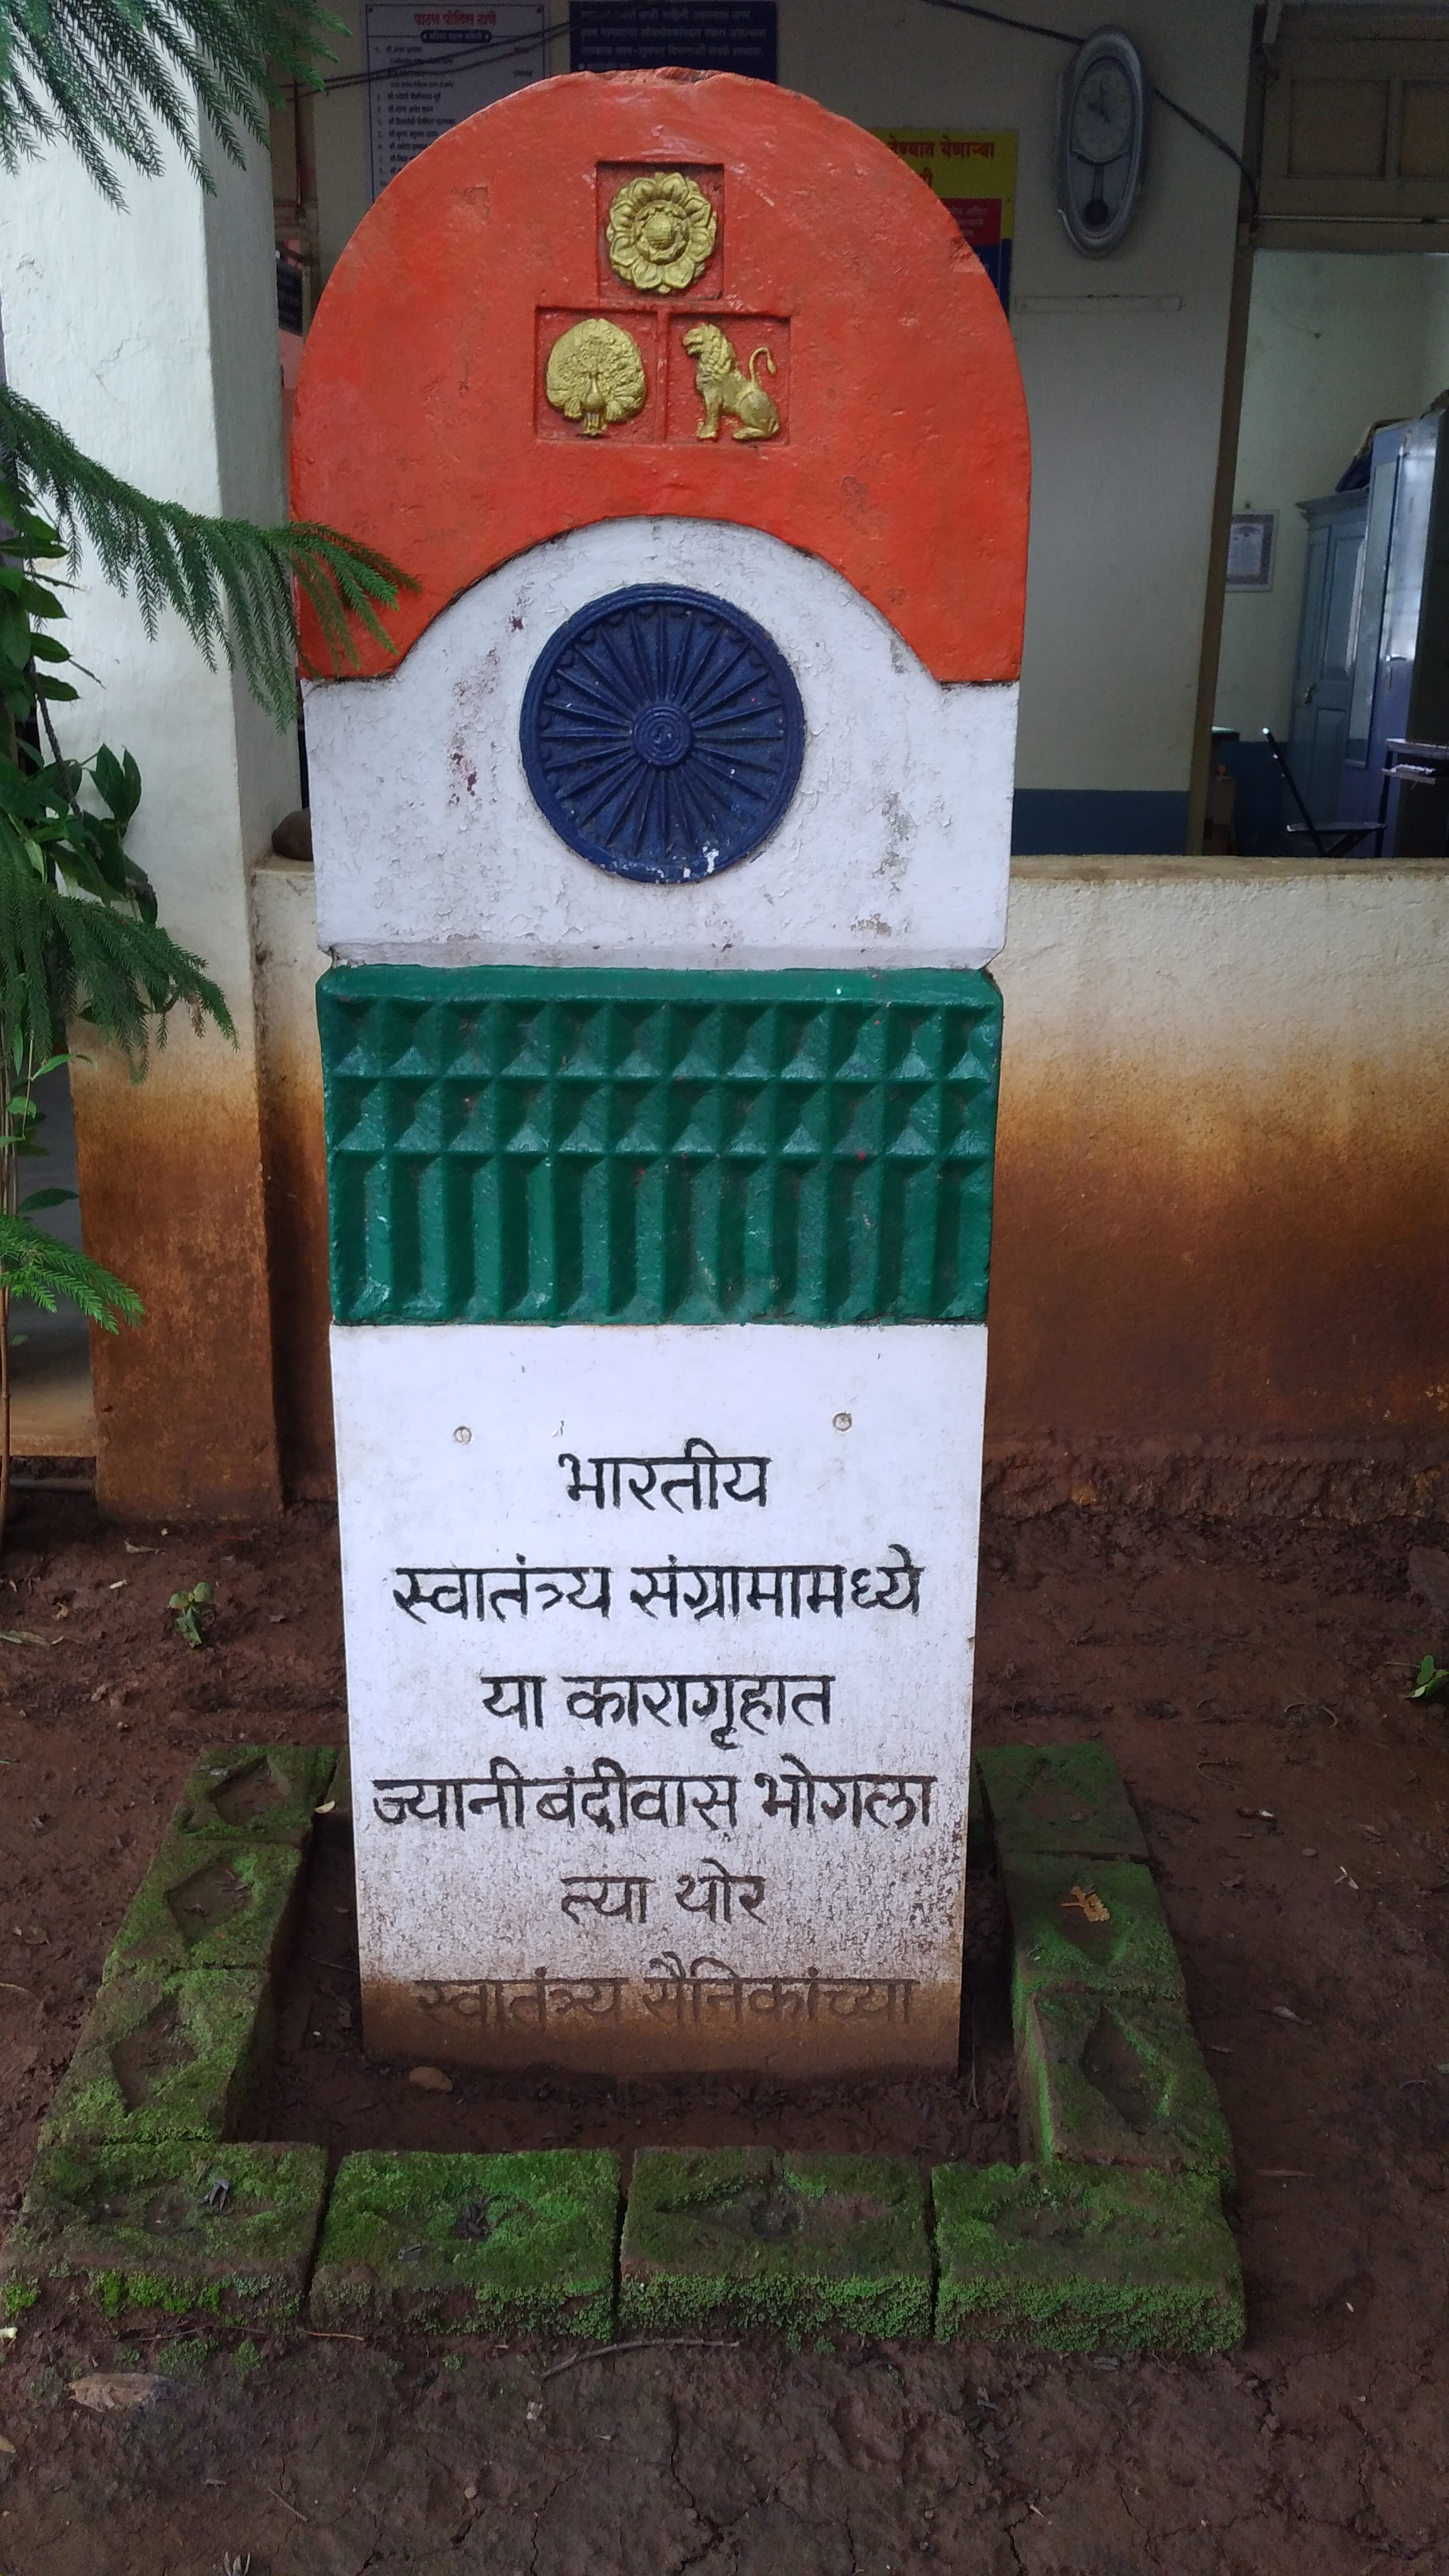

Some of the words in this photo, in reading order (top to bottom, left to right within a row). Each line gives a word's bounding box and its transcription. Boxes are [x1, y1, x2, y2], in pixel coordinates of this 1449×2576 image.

[551, 1431, 783, 1518] भारतीय
[385, 1549, 619, 1631] स्वातंत्र्य
[621, 1538, 933, 1629] संग्रामामध्ये
[472, 1670, 552, 1736] या
[557, 1670, 843, 1758] कारागृहात
[357, 1752, 750, 1839] ज्यानीबंदीवास
[749, 1745, 954, 1840] भोगला
[551, 1868, 664, 1935] त्या
[662, 1853, 773, 1935] थोर
[405, 1958, 634, 2034] स्वातंत्र्य
[636, 1941, 935, 2036] सैनिकांच्या